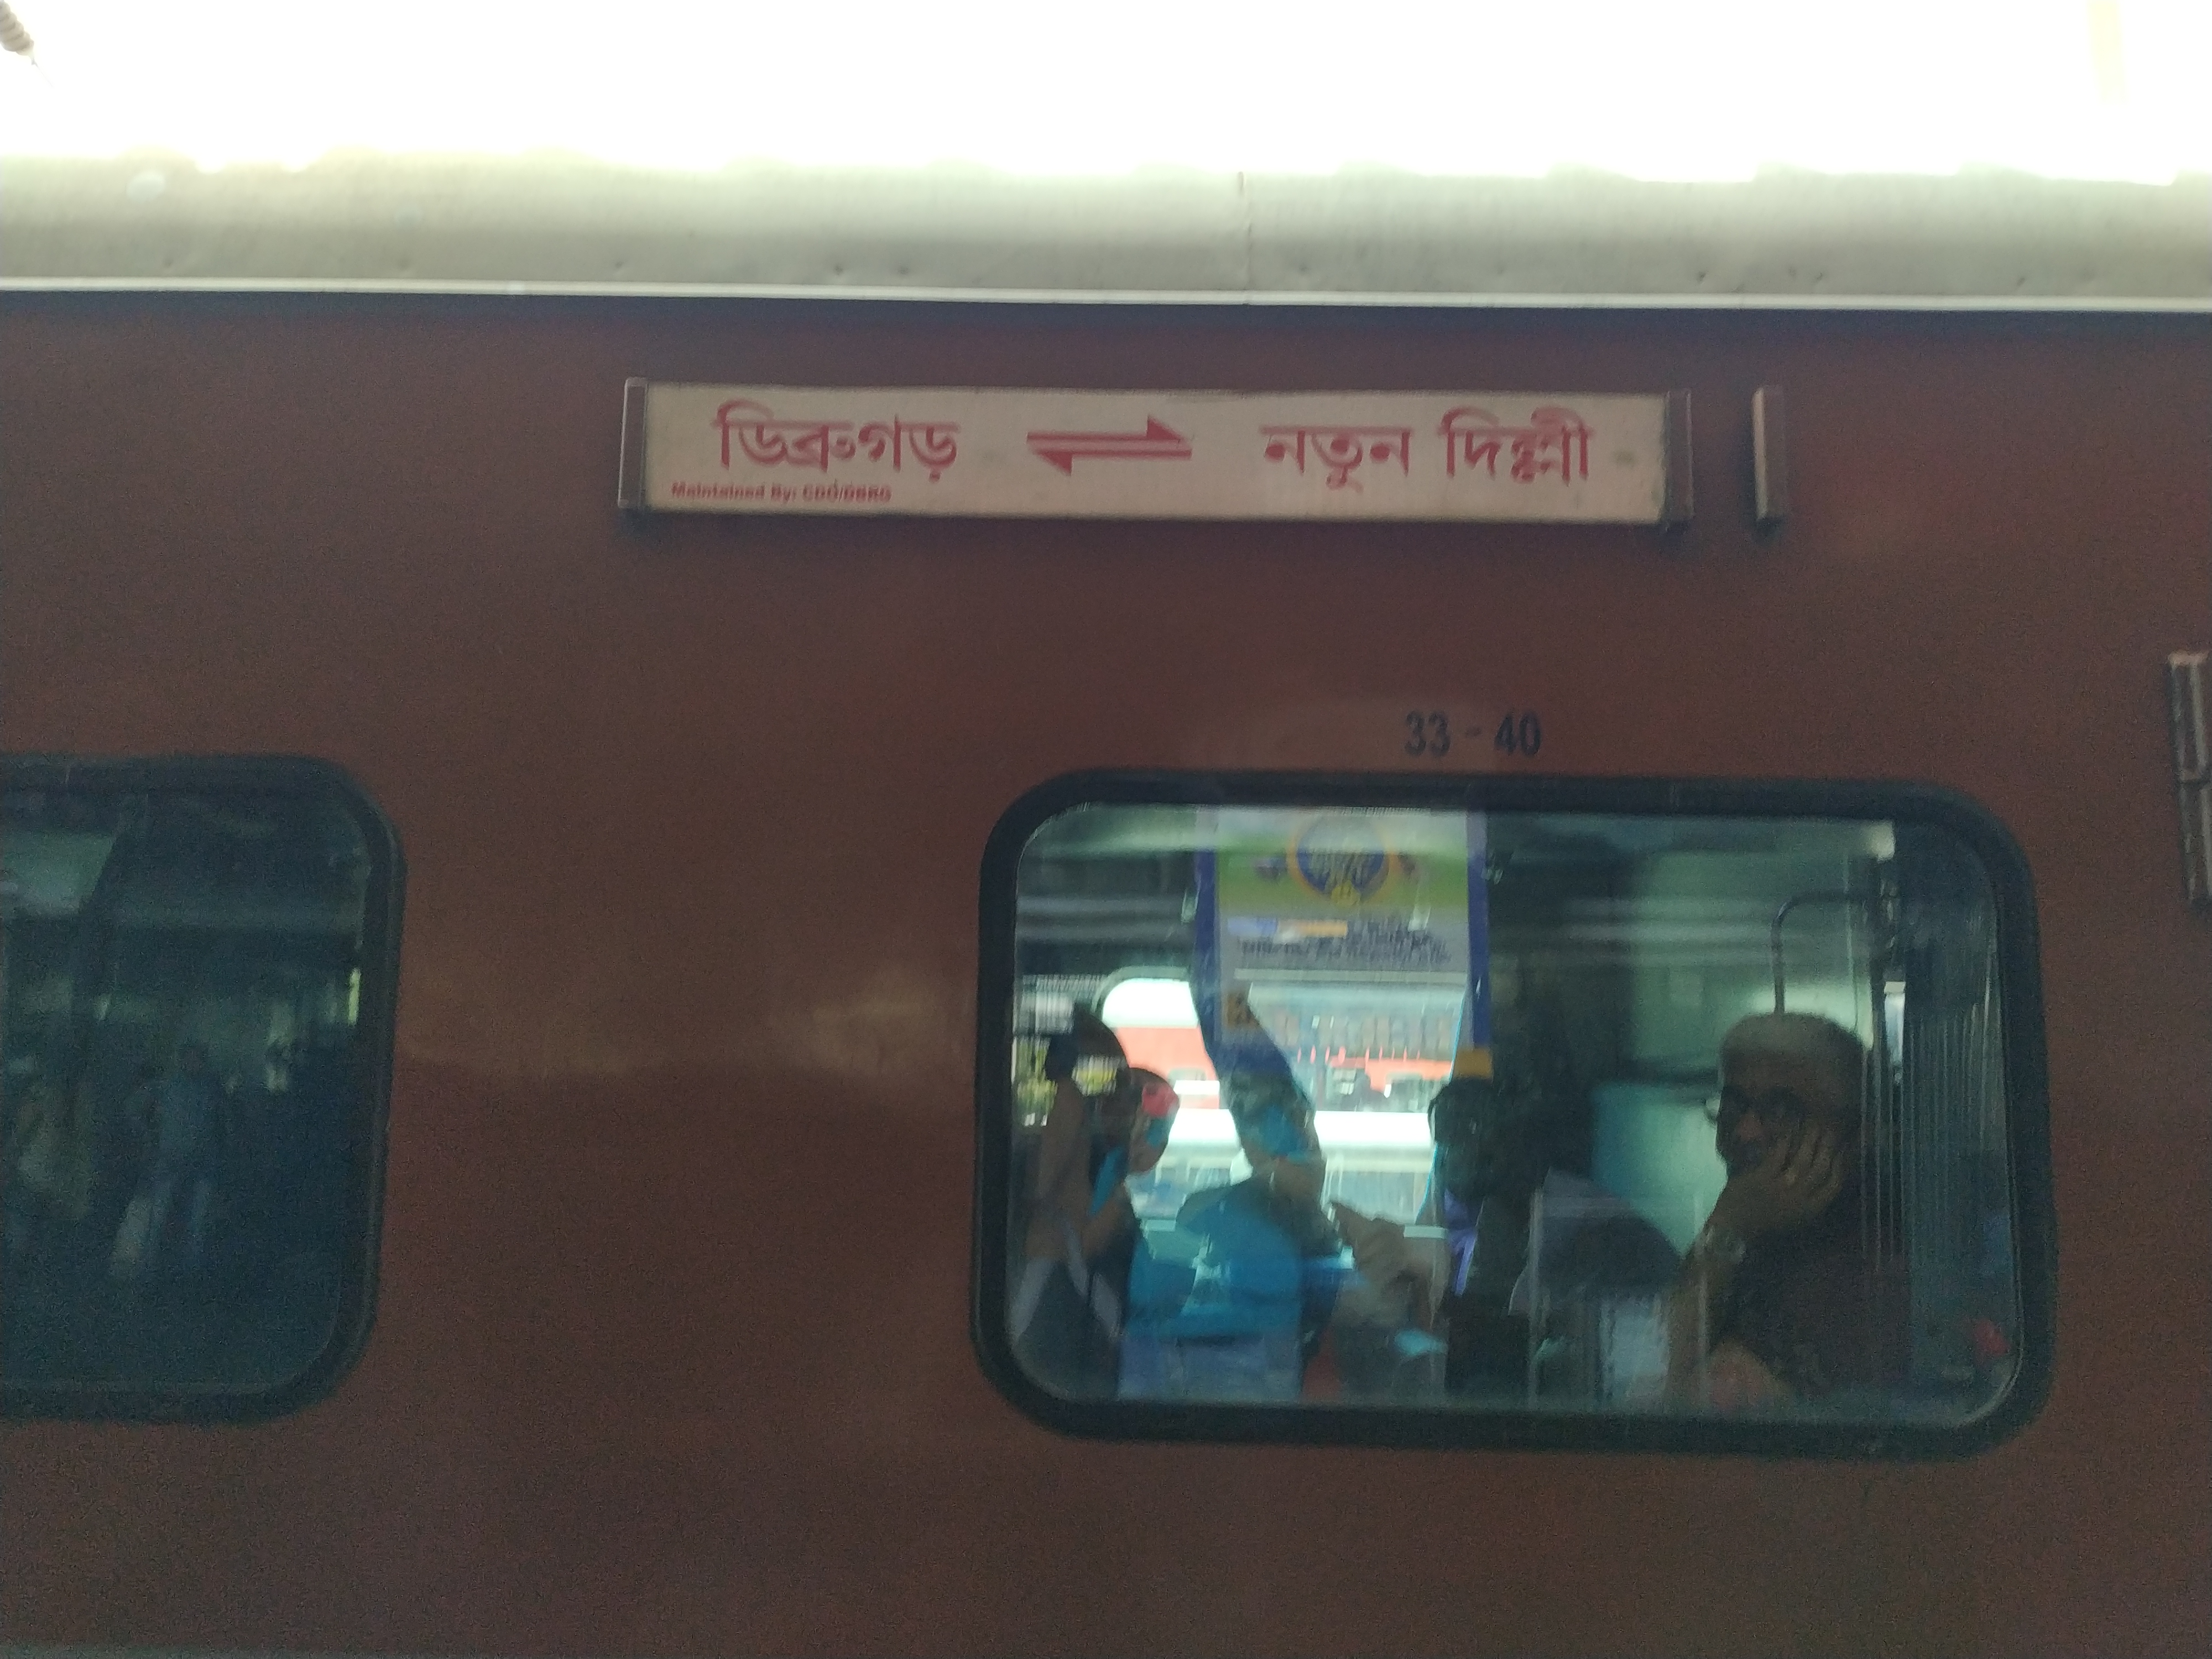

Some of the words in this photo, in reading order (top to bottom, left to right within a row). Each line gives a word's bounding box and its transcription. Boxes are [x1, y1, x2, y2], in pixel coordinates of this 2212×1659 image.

[661, 471, 776, 507] Maintained
[758, 470, 802, 508] By:
[690, 371, 973, 488] ডিব্ৰুগড়
[1251, 410, 1416, 492] নতুন
[1438, 401, 1597, 496] দিল্লী